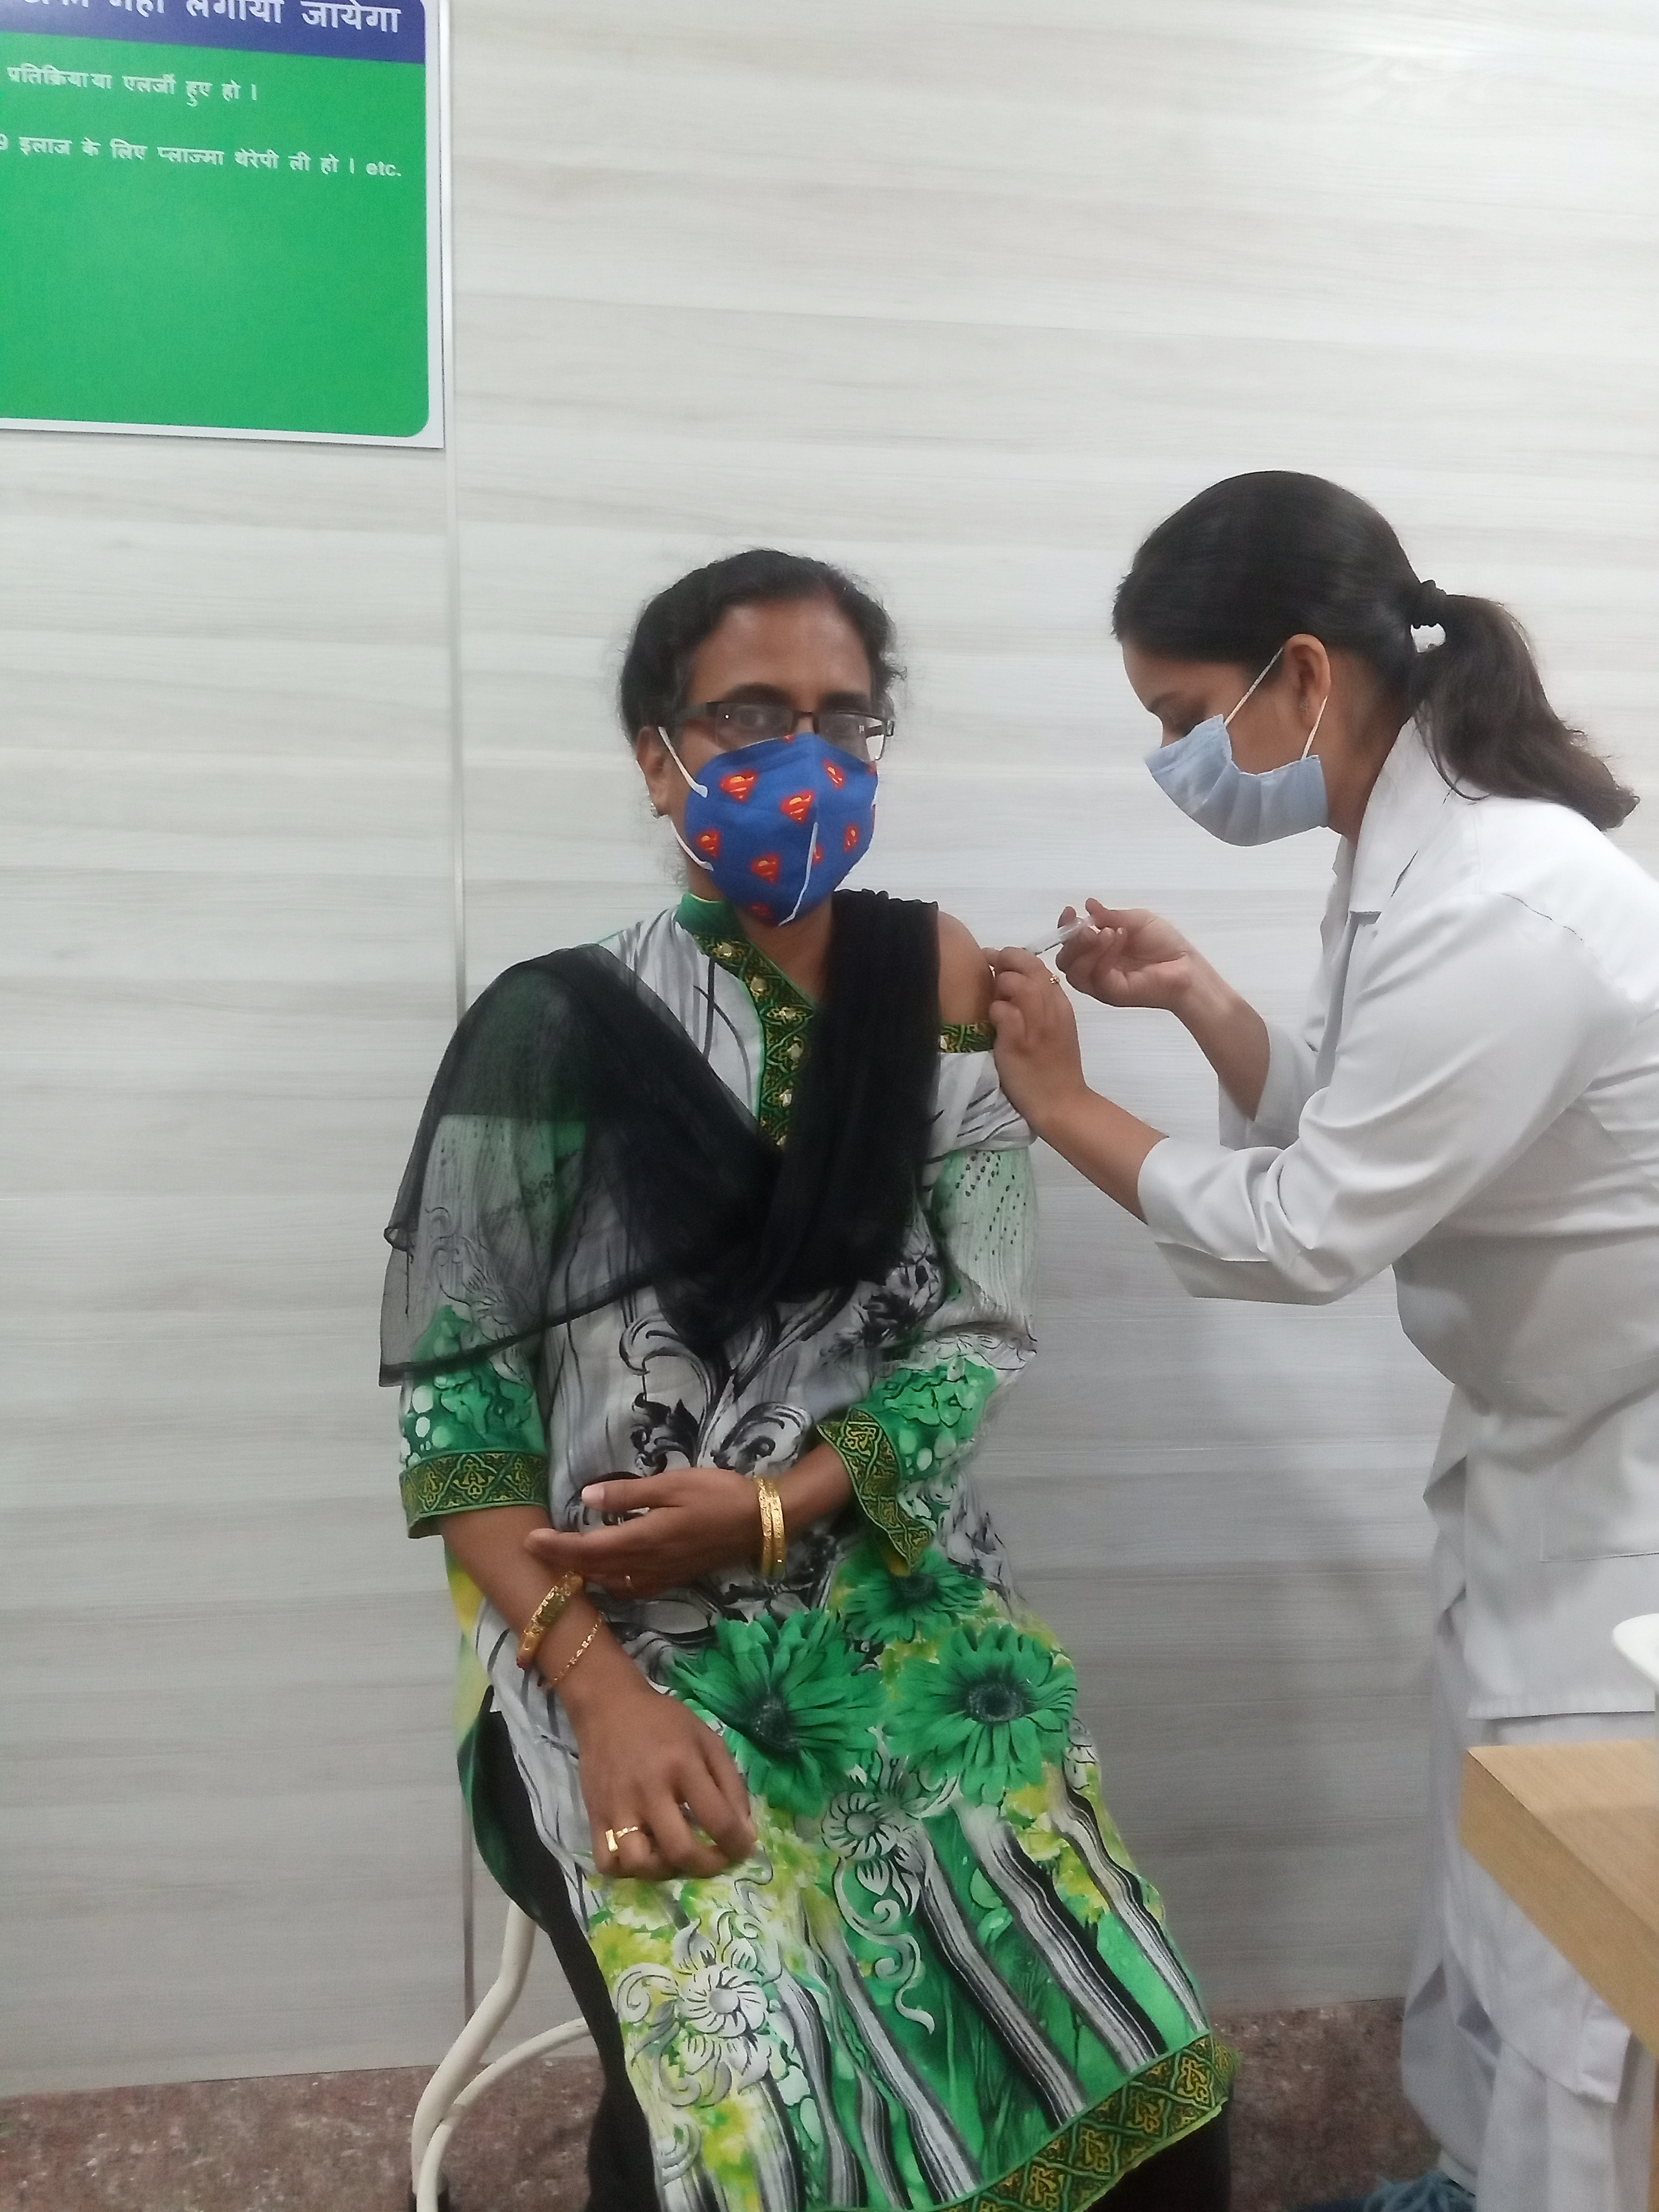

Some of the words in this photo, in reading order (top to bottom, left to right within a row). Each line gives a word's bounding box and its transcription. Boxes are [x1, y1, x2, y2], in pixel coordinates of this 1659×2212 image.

[183, 0, 285, 26] लगाया
[300, 0, 404, 35] जायेगा
[6, 60, 89, 89] प्रतिक्रिया
[88, 71, 115, 91] या
[121, 70, 179, 95] एलर्जी
[185, 77, 215, 109] हुए
[220, 76, 243, 106] हो
[18, 133, 74, 159] इलाज
[80, 132, 103, 160] क‍े
[108, 135, 149, 163] लिए
[155, 144, 227, 169] प्लाज्मा
[231, 144, 281, 171] थेरेपी
[286, 147, 312, 173] ली
[317, 150, 341, 177] हो
[363, 159, 404, 180] etc.